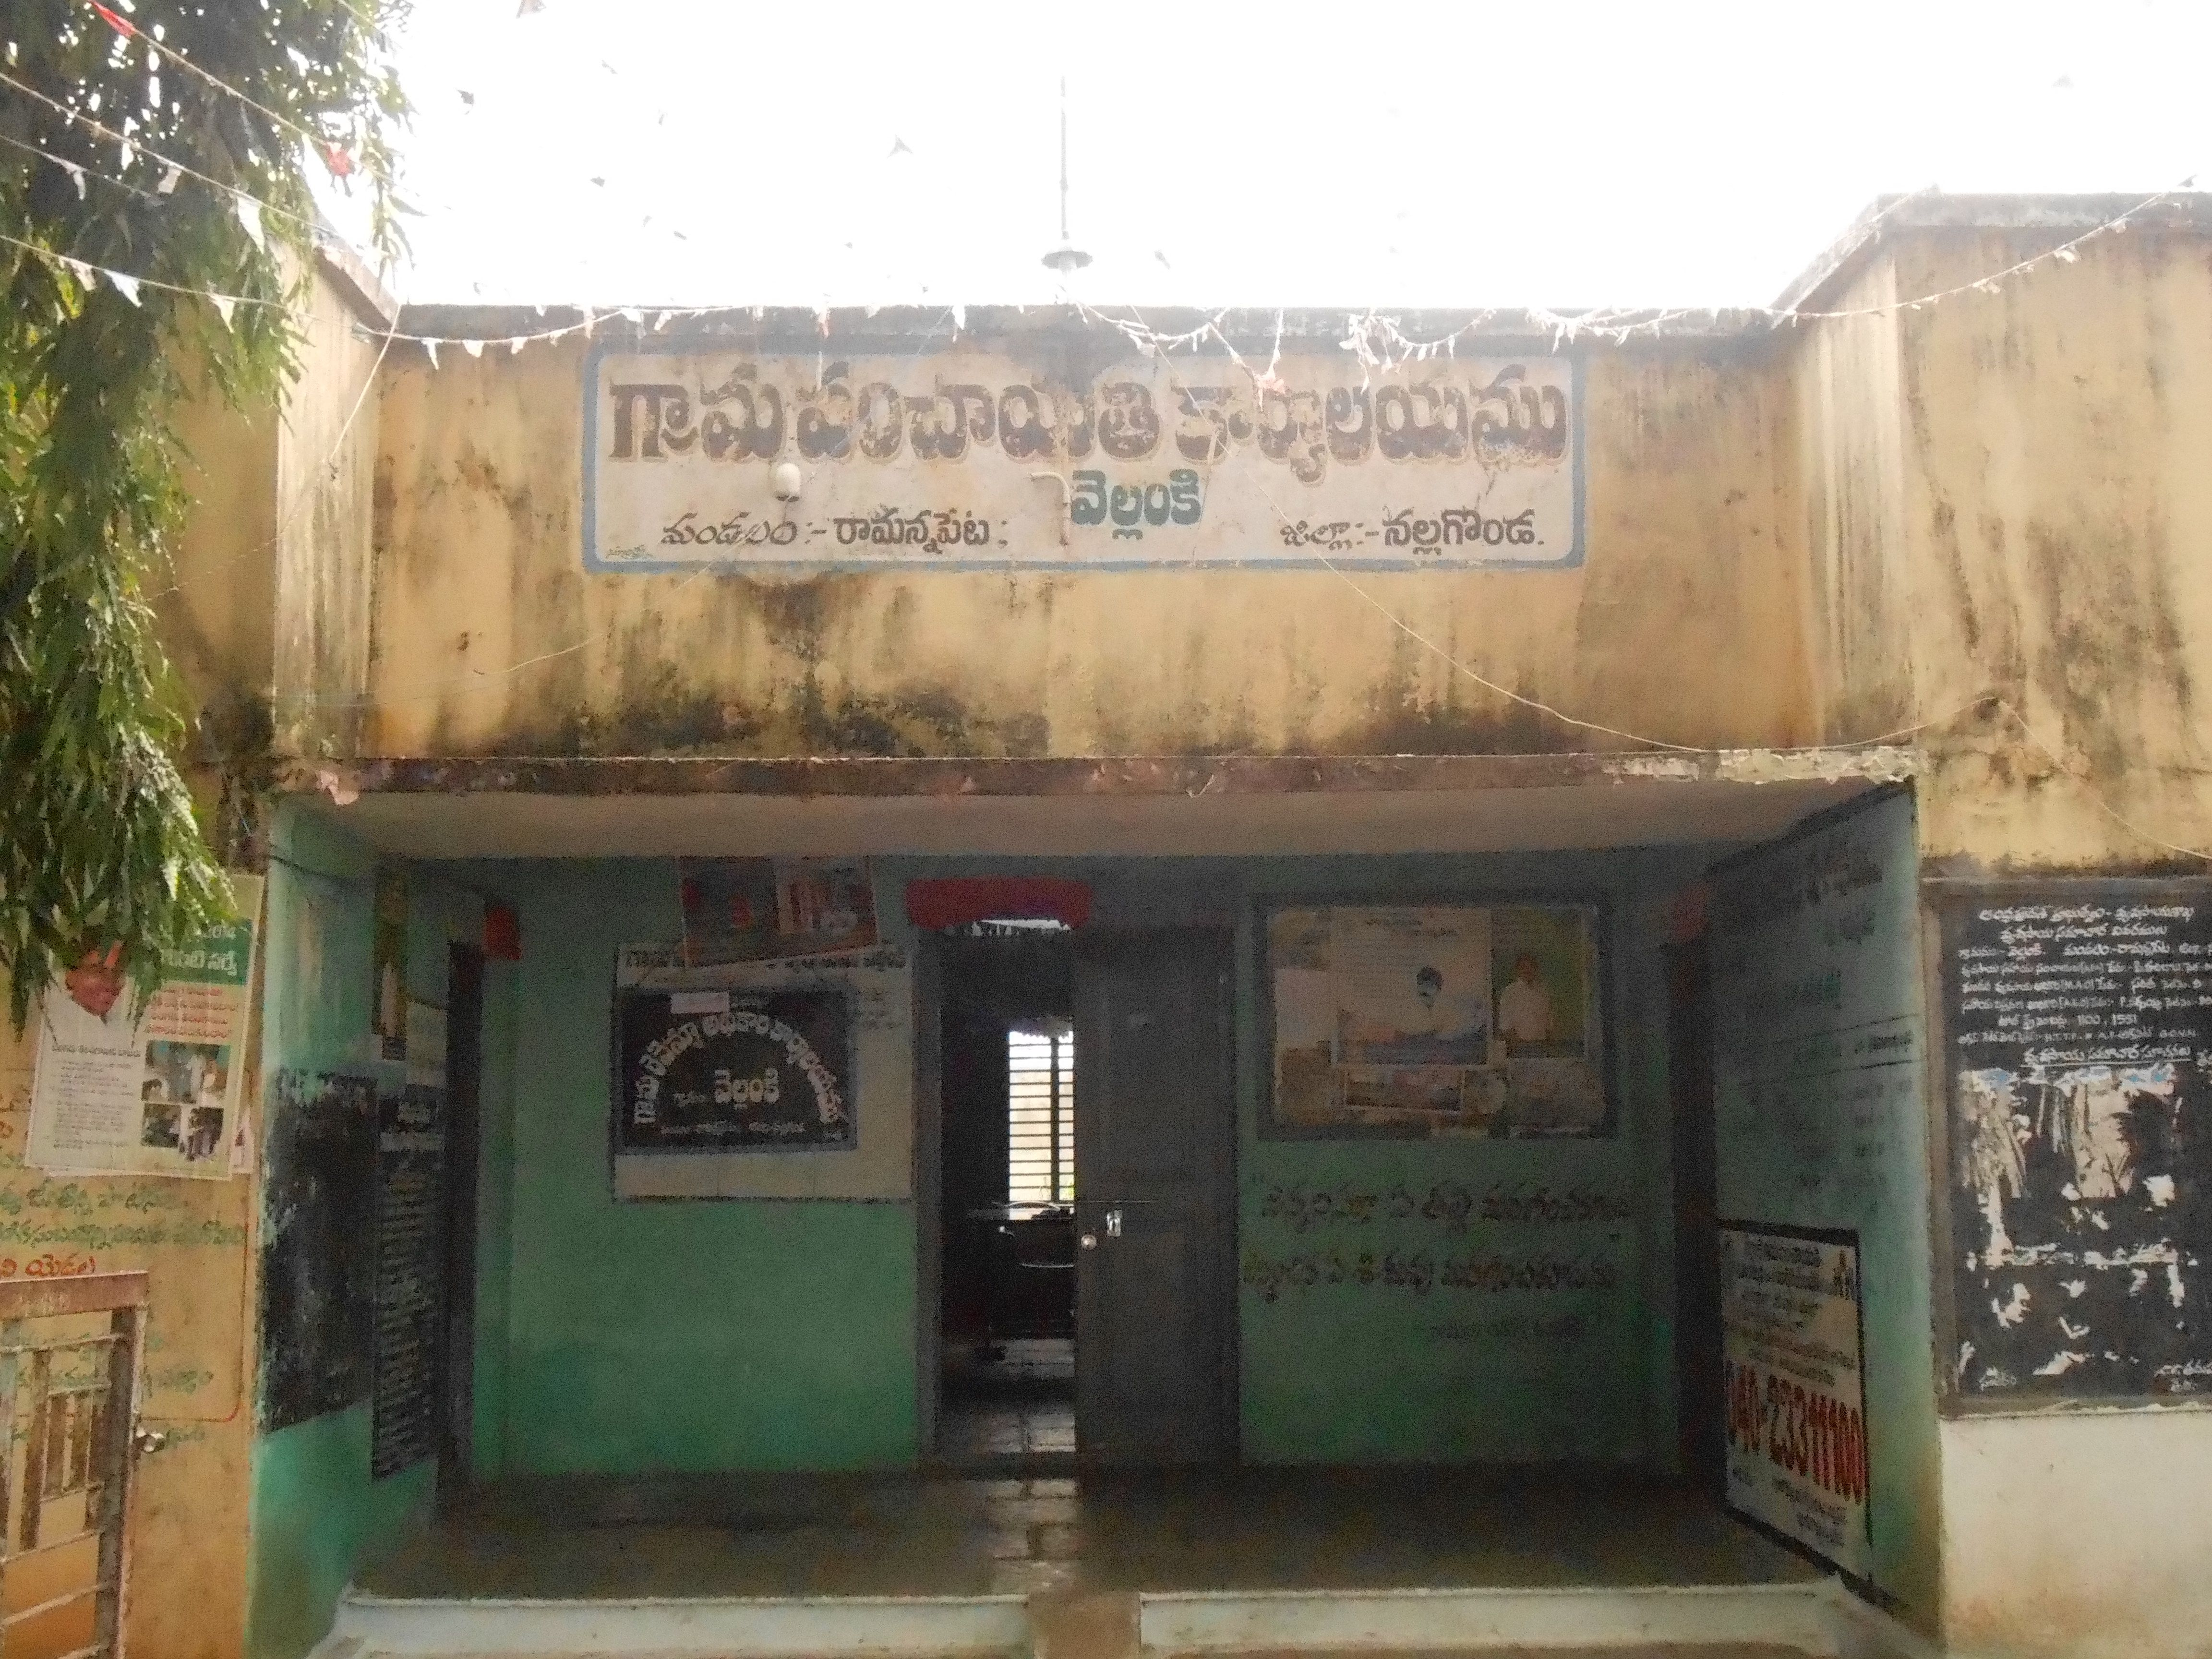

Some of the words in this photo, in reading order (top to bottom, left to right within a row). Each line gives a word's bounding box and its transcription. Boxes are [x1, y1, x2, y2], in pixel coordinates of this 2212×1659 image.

[601, 354, 1164, 466] గ్రామ పంచాయితి
[1168, 359, 1573, 492] కార్యాలయము
[652, 499, 805, 550] మండలం
[823, 503, 999, 552] రామన్నపేట
[1061, 457, 1211, 541] వెల్లంకి
[1273, 508, 1385, 557] జల్లా :-
[1376, 505, 1547, 567] నల్లగొండ
[1988, 918, 2061, 950] వ్యవసాయ
[2057, 935, 2115, 963] మండటం